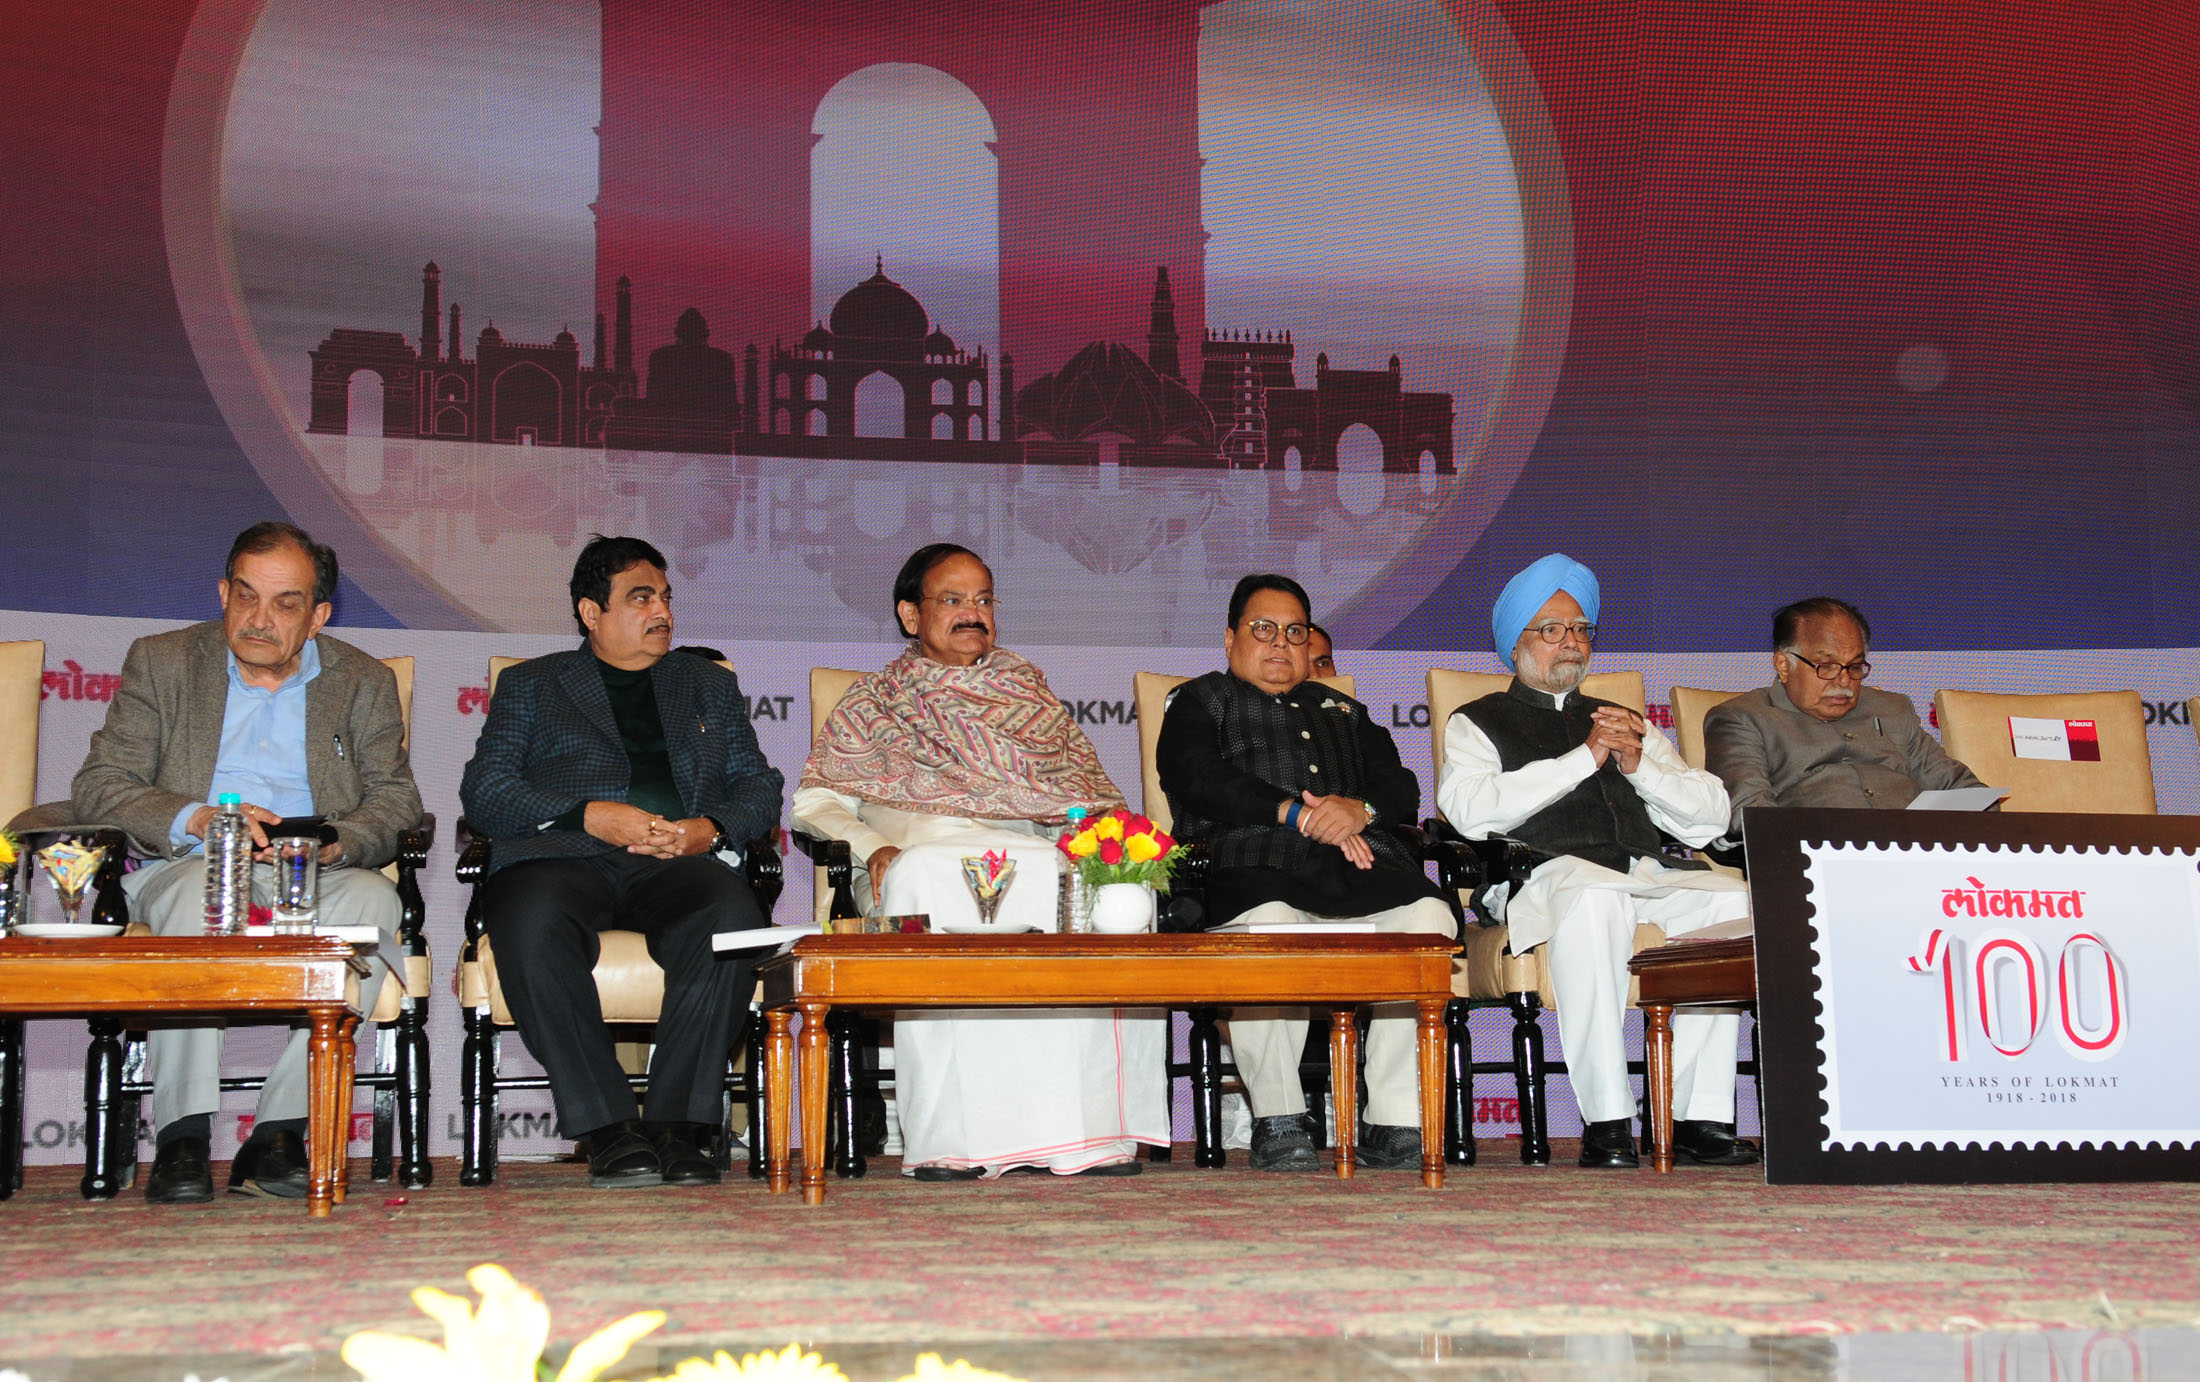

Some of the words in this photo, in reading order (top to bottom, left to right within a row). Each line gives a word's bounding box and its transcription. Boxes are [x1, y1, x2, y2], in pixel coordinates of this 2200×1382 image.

[32, 653, 124, 708] लोक
[745, 687, 795, 729] AT
[1936, 871, 2091, 924] लोकमत
[1903, 914, 2142, 1076] 100
[1939, 1072, 2003, 1091] YEARS
[2006, 1073, 2039, 1092] OF
[1983, 1087, 2083, 1109] 1918.2018
[2039, 1072, 2123, 1095] LOKMAT